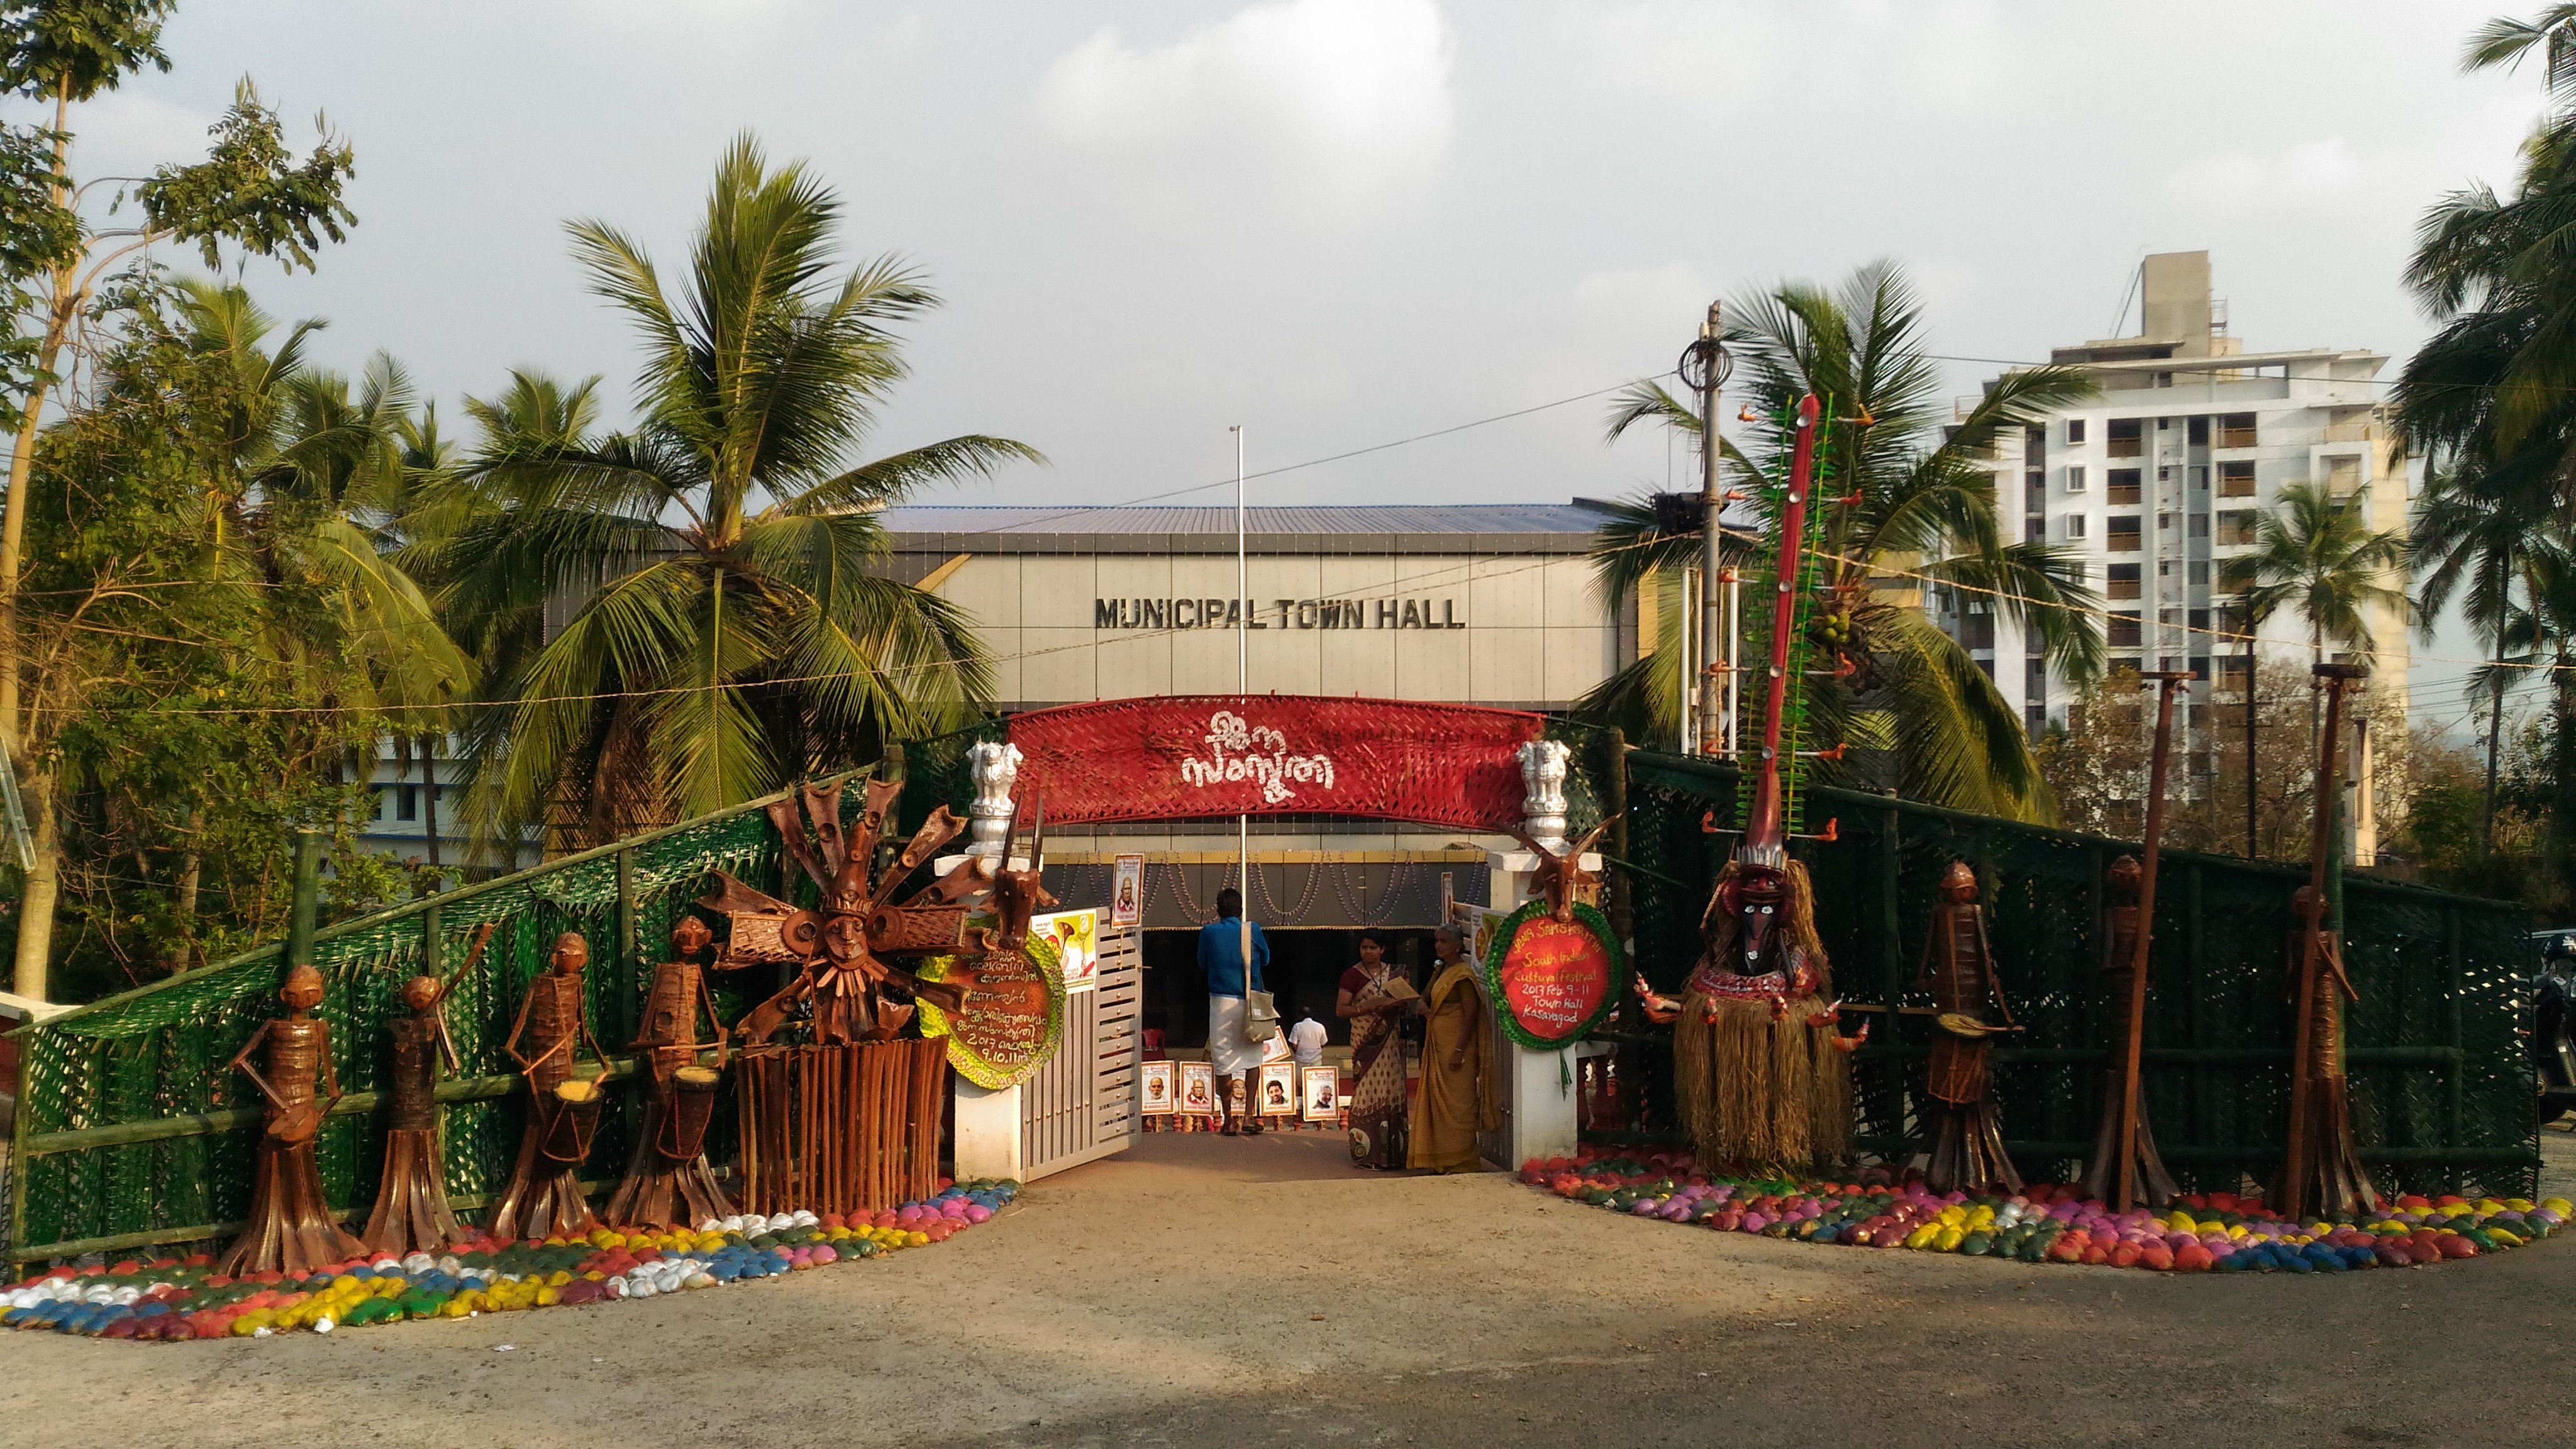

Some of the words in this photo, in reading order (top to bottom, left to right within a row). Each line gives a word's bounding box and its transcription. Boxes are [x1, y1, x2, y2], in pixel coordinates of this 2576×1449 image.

[1093, 592, 1274, 631] MUNICIPAL
[1272, 594, 1368, 632] TOWN
[1374, 595, 1470, 633] HALL
[1534, 916, 1606, 955] SAMSKRITHI
[1520, 948, 1559, 970] South
[978, 969, 1040, 985] കൗൺപിൽ
[1510, 967, 1562, 984] Cultural
[1559, 967, 1600, 986] Festival
[1519, 980, 1546, 999] 2017
[1531, 992, 1563, 1013] Town
[1541, 982, 1568, 1001] Feb.
[1560, 996, 1585, 1013] Hall
[1518, 1004, 1580, 1031] Kasavagad
[965, 1029, 998, 1053] 2017